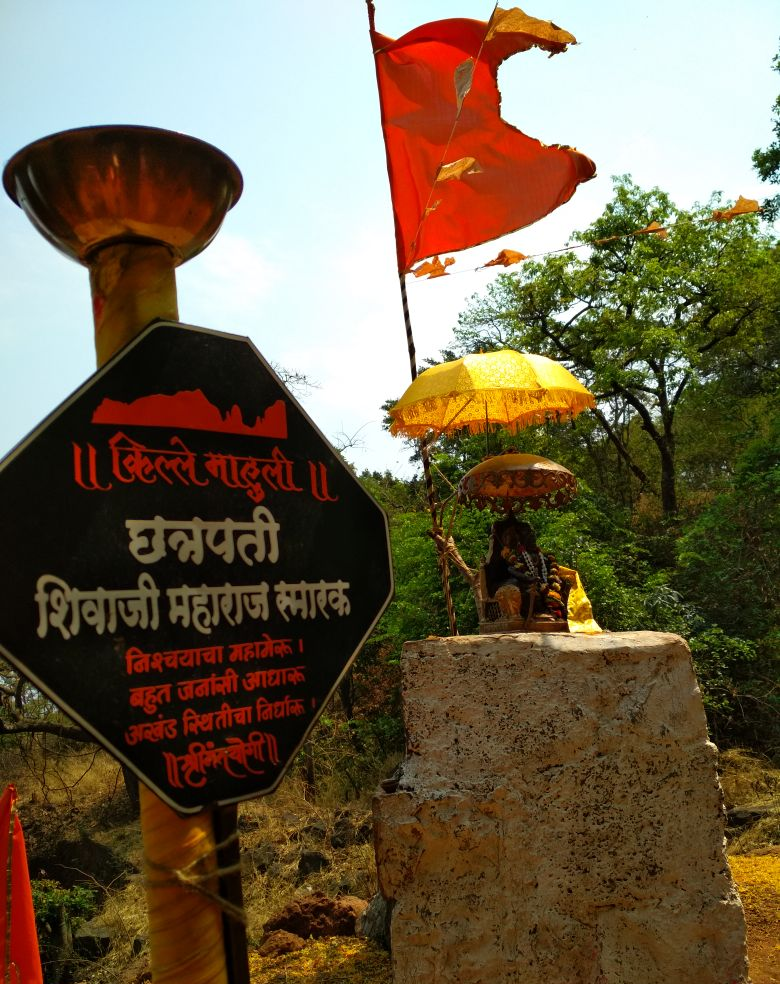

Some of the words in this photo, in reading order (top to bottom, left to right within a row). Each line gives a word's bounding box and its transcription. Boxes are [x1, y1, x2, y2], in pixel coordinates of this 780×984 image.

[103, 426, 215, 498] किल्ले
[200, 442, 306, 506] माहुली
[117, 503, 289, 571] छत्रपती
[28, 563, 165, 650] शिवाजी
[162, 576, 273, 639] महाराज
[271, 576, 359, 630] स्मारक
[119, 680, 175, 718] बहुत
[117, 709, 181, 751] अखंड
[119, 639, 226, 681] निश्चयाचा
[173, 665, 241, 707] जनांसी
[179, 695, 256, 742] स्थितीचा
[225, 629, 309, 667] महामेरू।
[241, 661, 313, 693] आधारू
[253, 689, 319, 727] निर्धारू ।
[176, 727, 267, 790] श्रीमंतयोगी